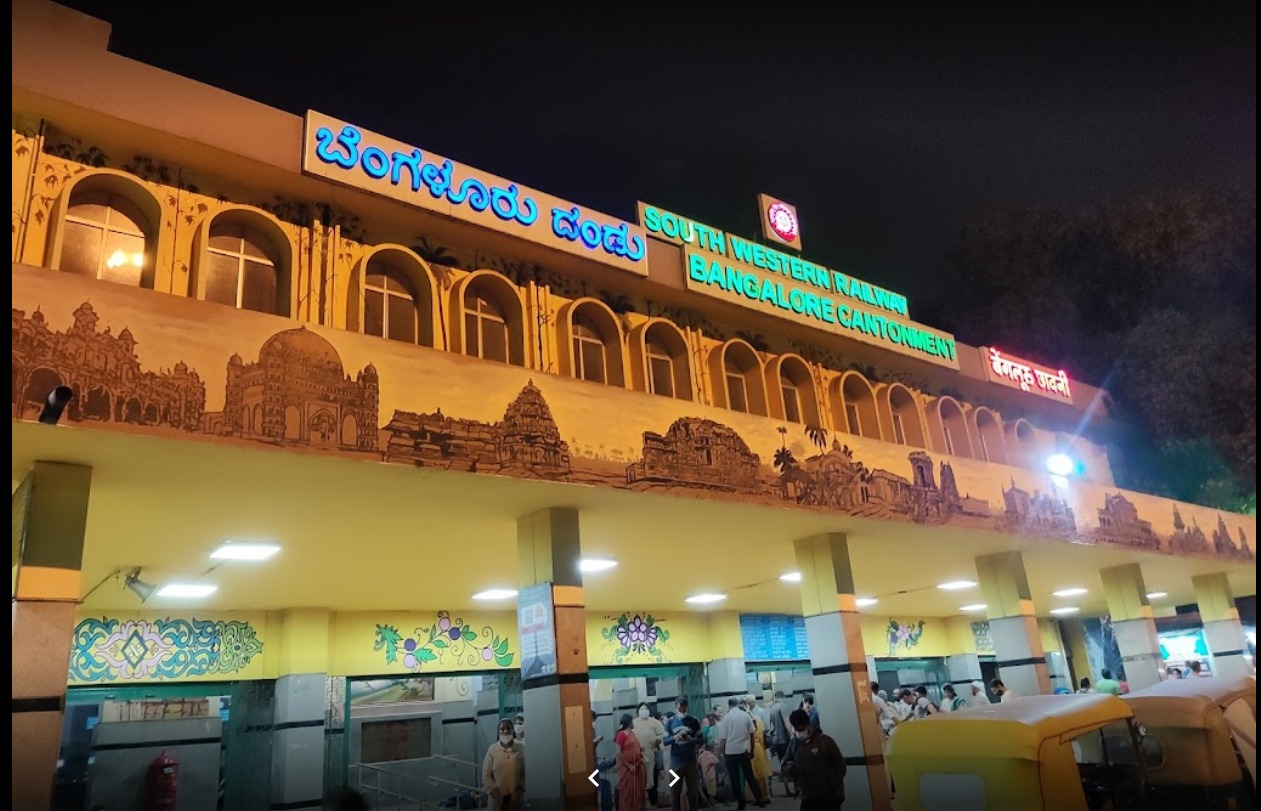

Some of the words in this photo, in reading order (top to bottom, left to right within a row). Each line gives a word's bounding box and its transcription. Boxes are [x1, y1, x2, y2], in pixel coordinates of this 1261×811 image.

[312, 115, 545, 231] ಬೆಂಗಳೂರು
[548, 202, 645, 263] ದ0ಡು
[639, 201, 732, 260] SOUTH
[685, 245, 841, 327] BANGALORE
[727, 228, 833, 297] WESTERN
[827, 267, 911, 319] RAILWAY
[835, 300, 960, 367] CANTONMENT
[985, 339, 1038, 393] बेंगलूरू
[1032, 365, 1074, 401] छावनी